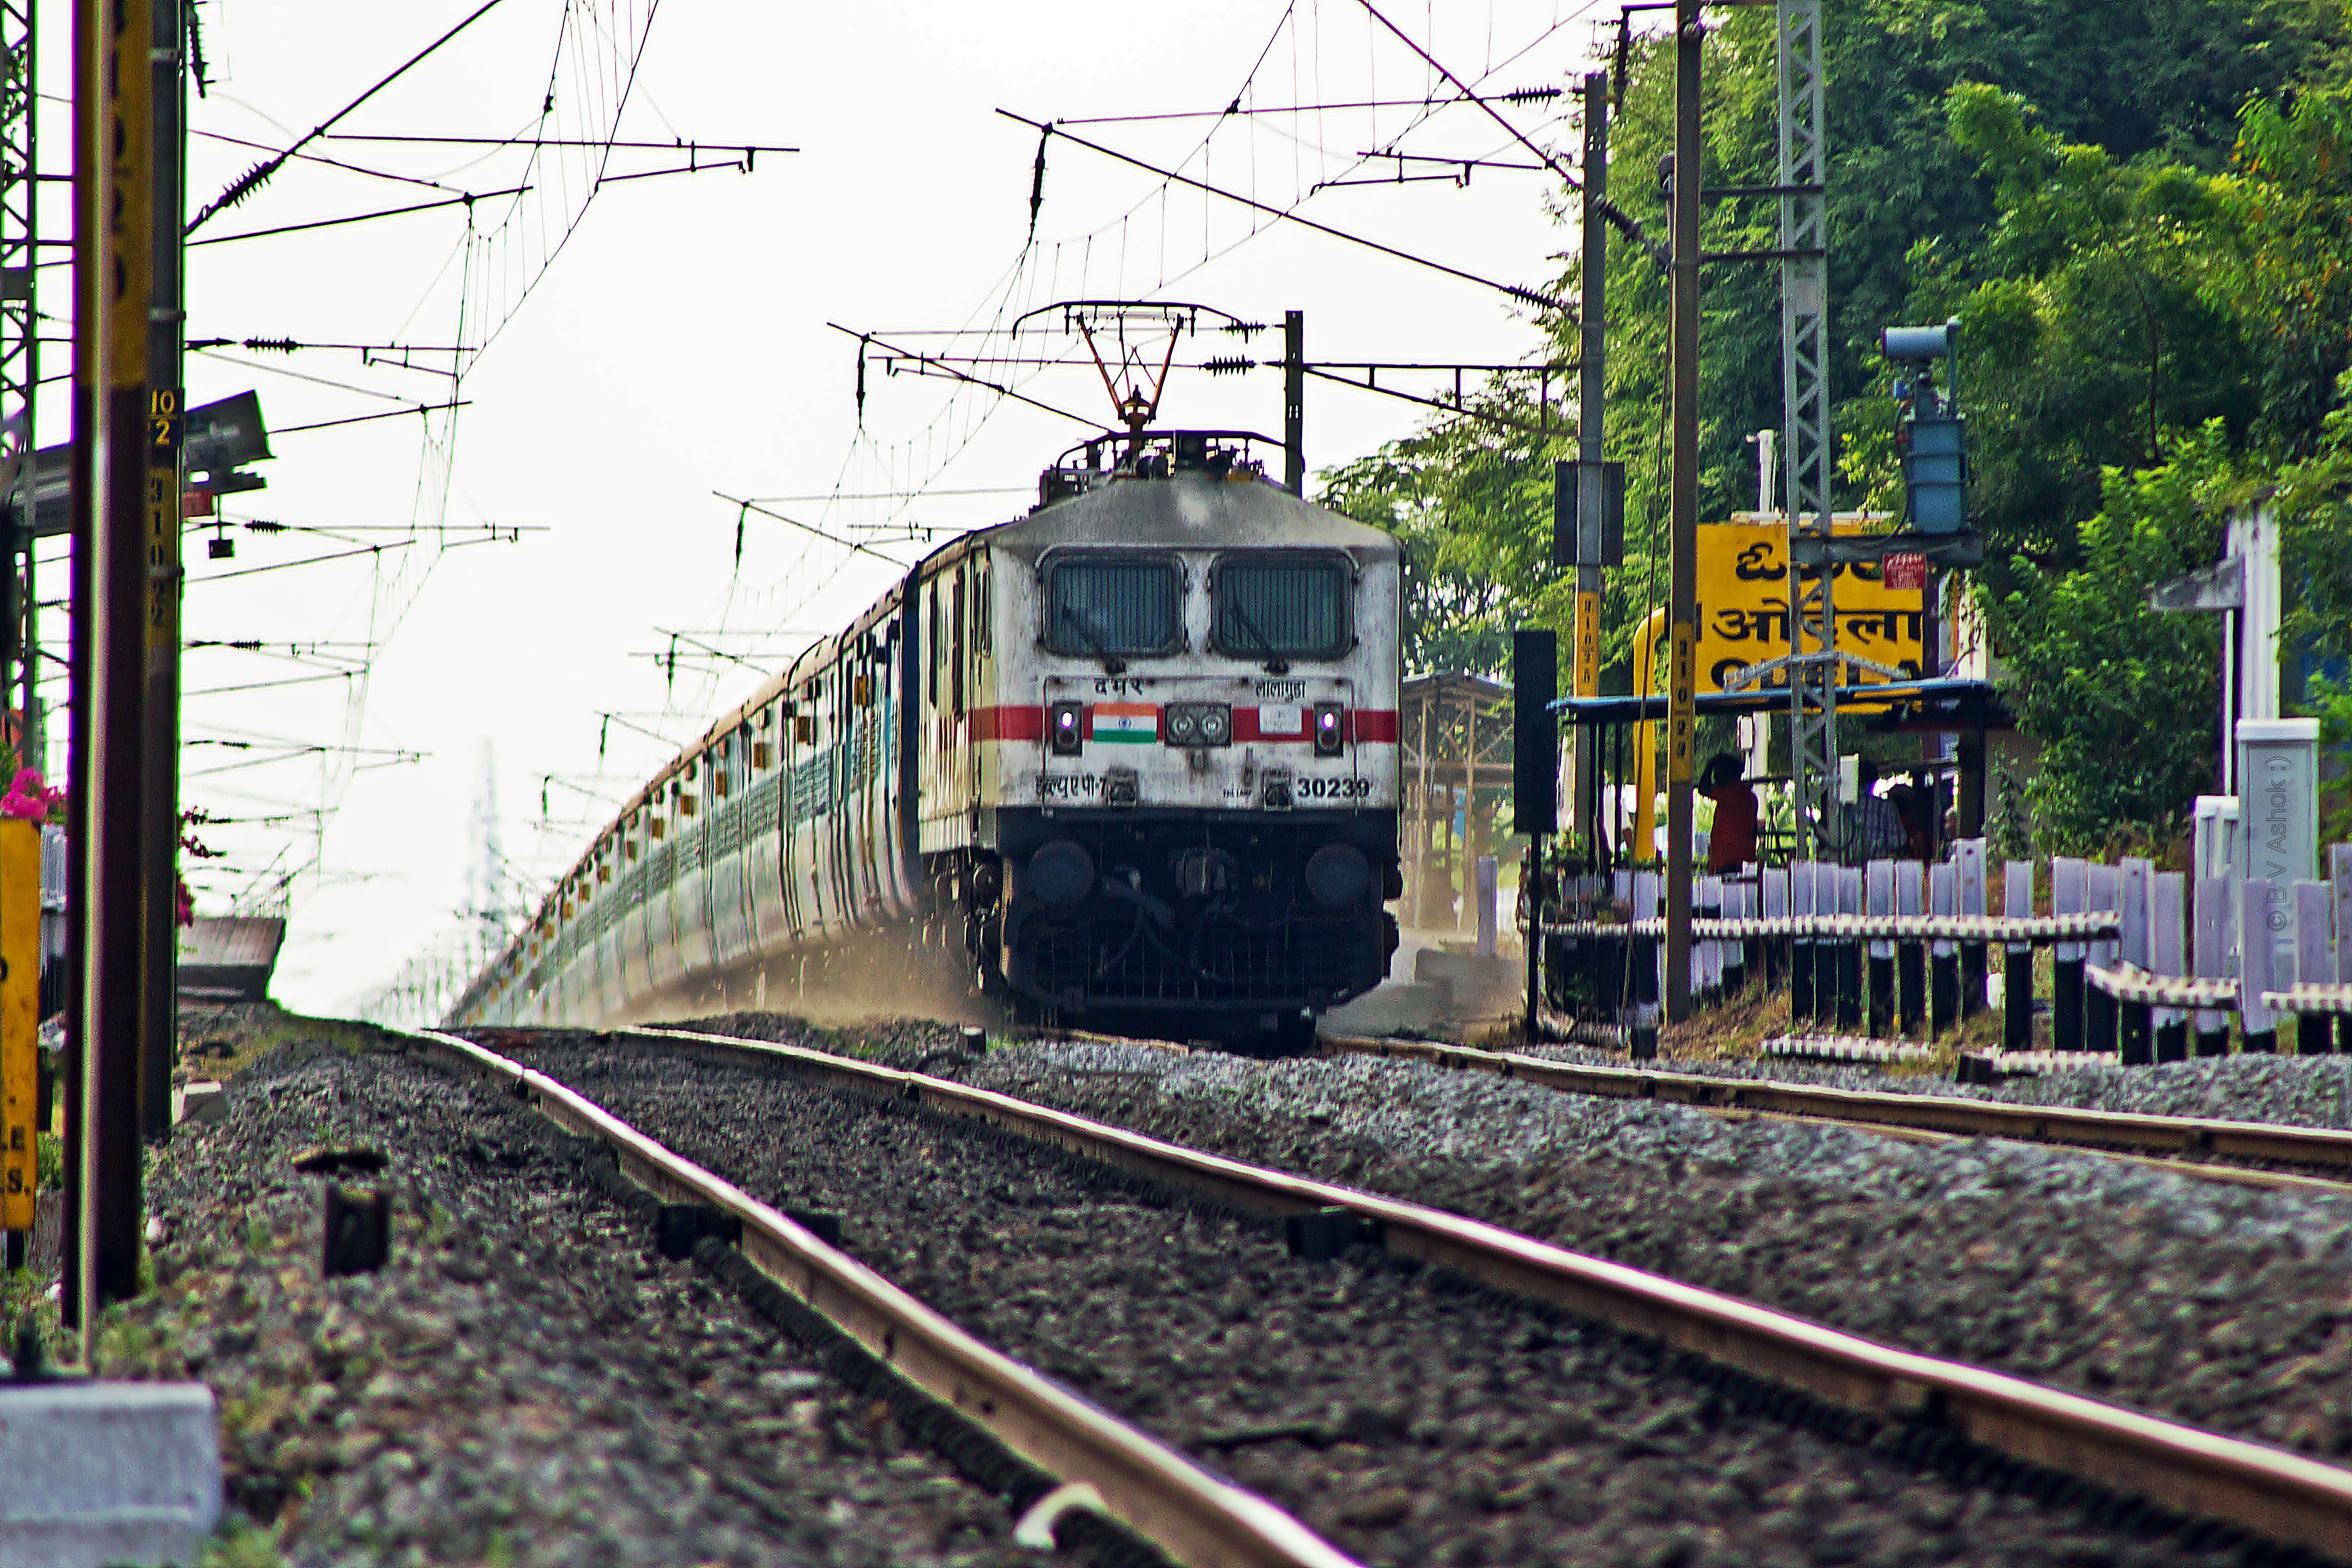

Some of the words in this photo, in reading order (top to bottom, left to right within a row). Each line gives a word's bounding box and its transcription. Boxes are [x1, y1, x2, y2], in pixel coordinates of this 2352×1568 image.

[1254, 678, 1307, 705] लालागुहा
[1032, 769, 1098, 799] डब्ल्यु ए पी